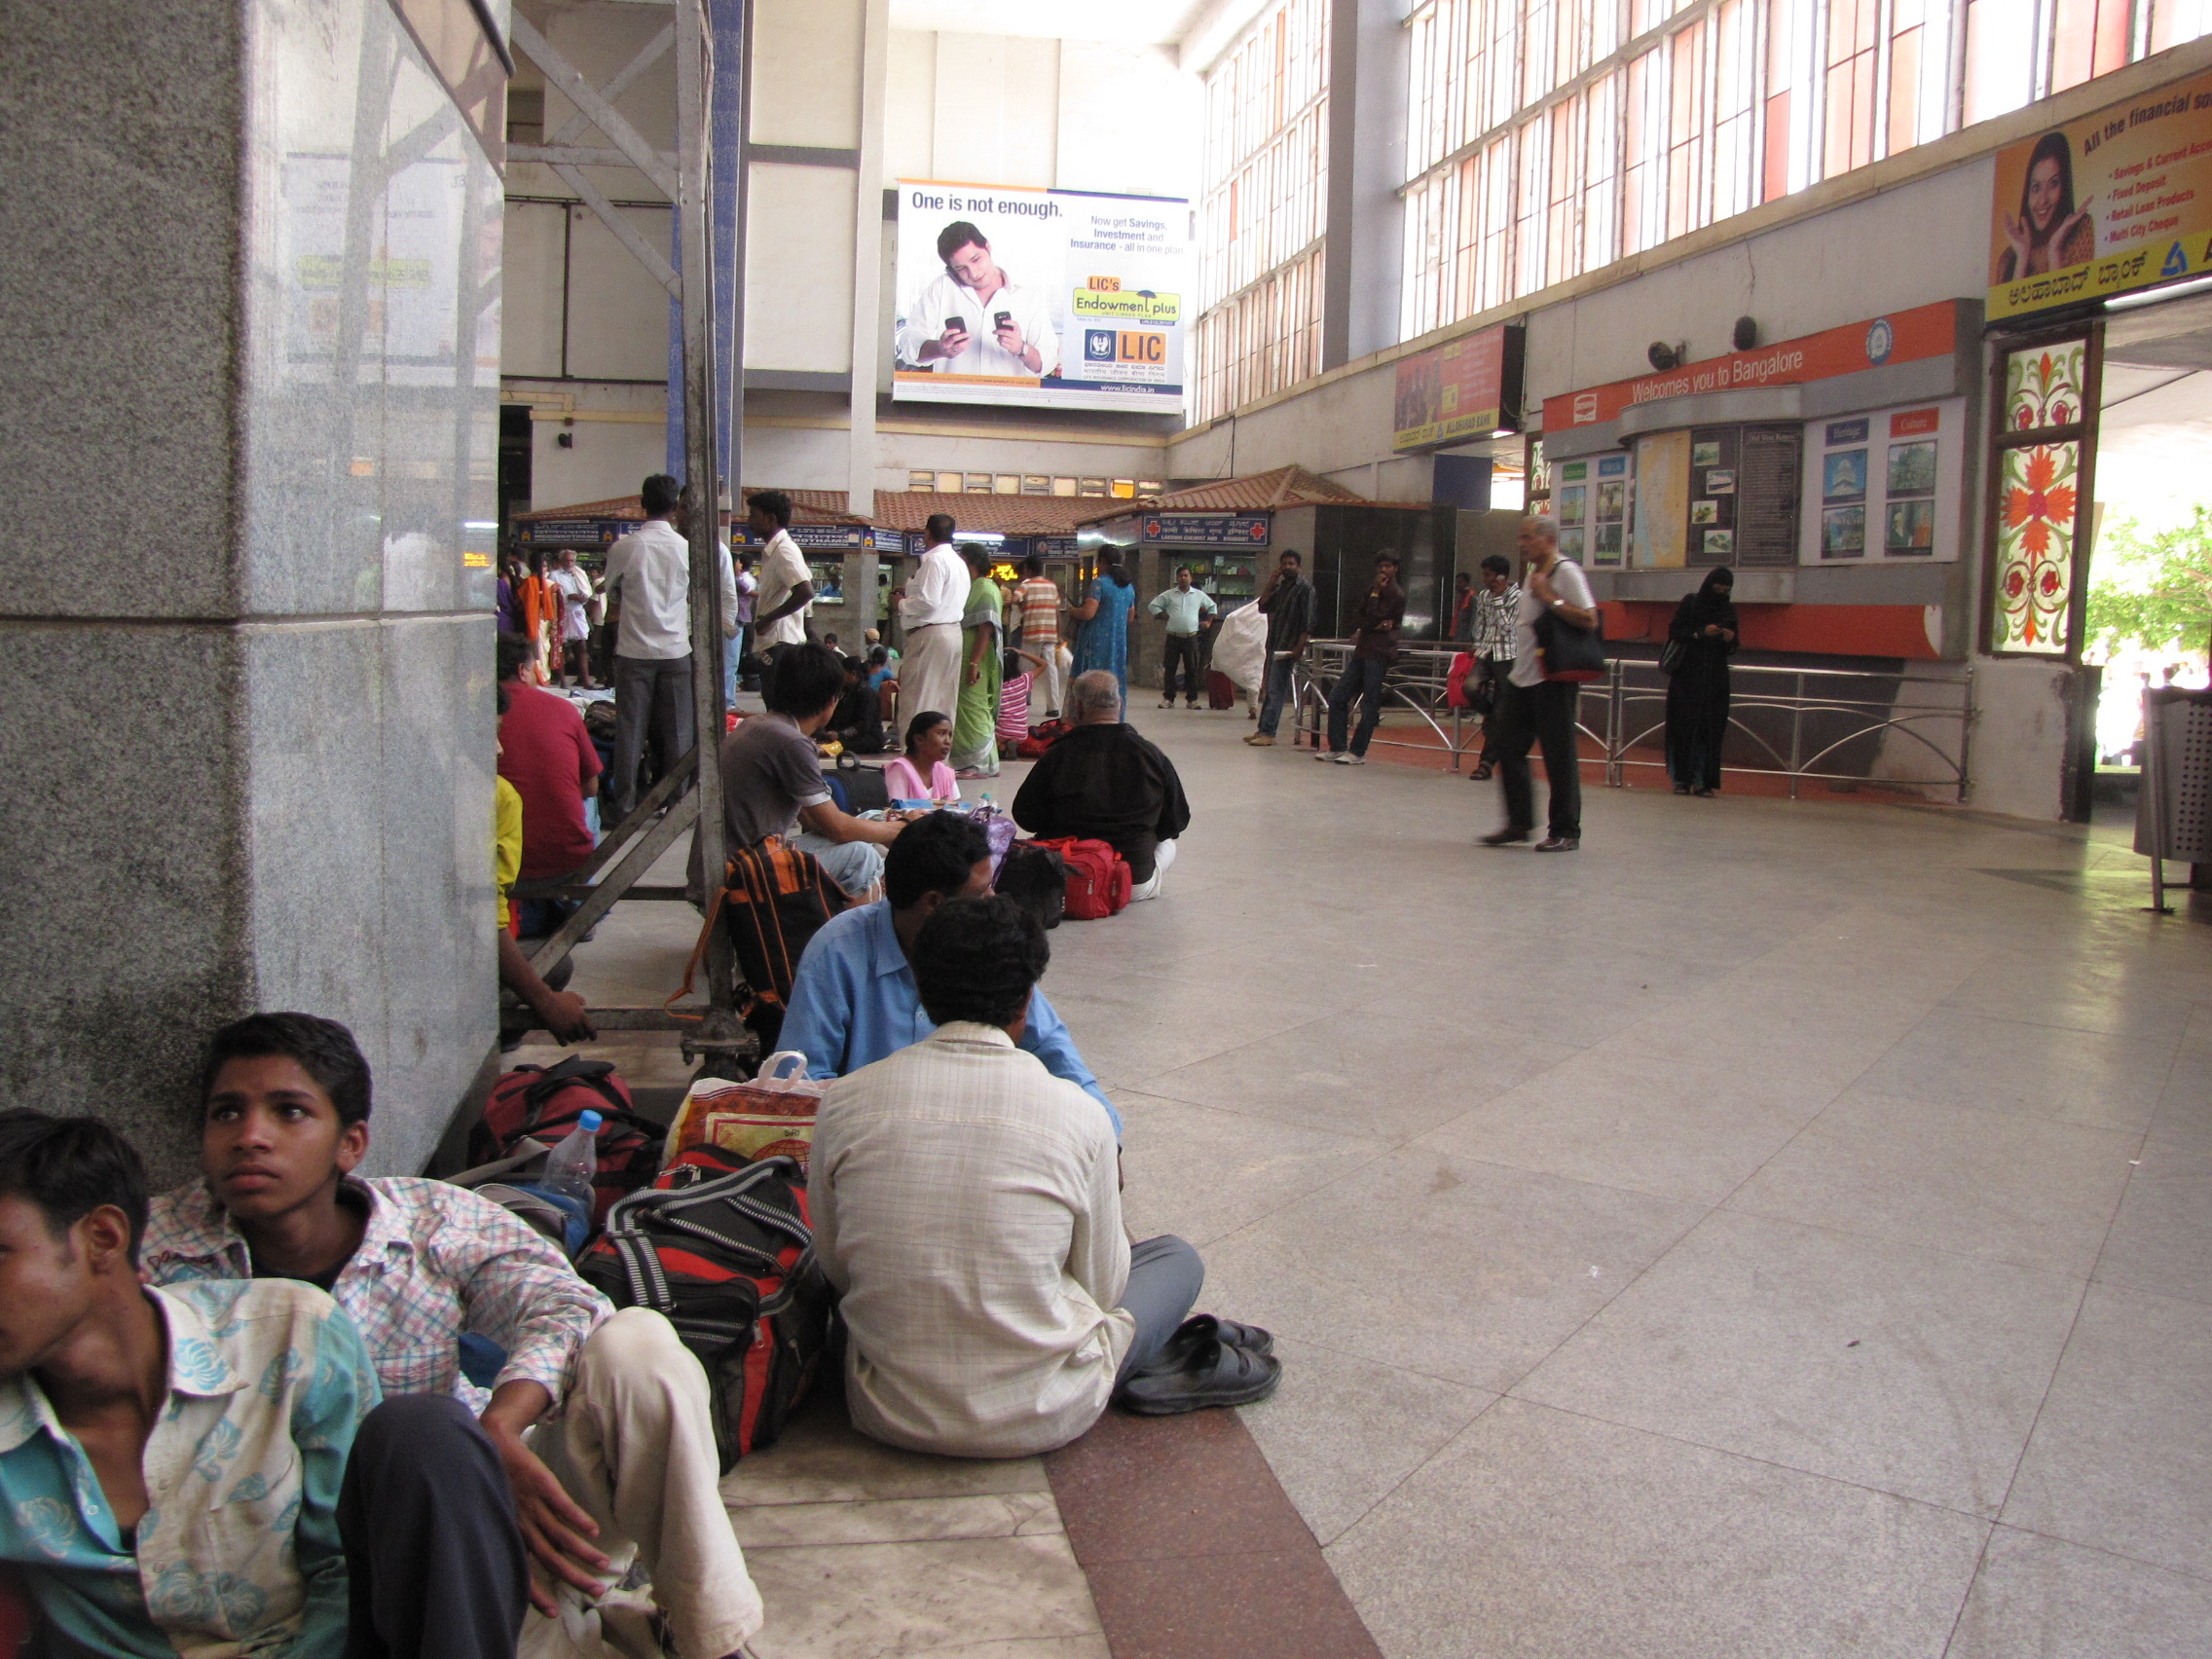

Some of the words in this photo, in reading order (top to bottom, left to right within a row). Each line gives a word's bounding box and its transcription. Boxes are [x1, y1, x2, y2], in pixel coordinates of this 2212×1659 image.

[2125, 90, 2197, 133] financial
[2073, 120, 2107, 159] All
[2099, 110, 2129, 145] the
[2108, 154, 2148, 185] Savings
[2140, 149, 2157, 179] &
[2152, 139, 2192, 170] Current
[908, 184, 949, 213] One
[944, 190, 968, 216] is
[965, 194, 996, 216] not
[992, 197, 1066, 221] enough.
[1060, 236, 1121, 256] Insurance
[1088, 211, 1115, 231] Now
[1089, 225, 1151, 246] Investment
[1109, 215, 1132, 233] get
[1117, 239, 1140, 256] all
[1133, 242, 1149, 258] in
[1124, 214, 1168, 235] Savings,
[1144, 241, 1168, 260] one
[1146, 226, 1167, 246] and
[1161, 241, 1189, 263] plan.
[2104, 221, 2135, 249] Multi
[2107, 200, 2136, 227] Retail
[2126, 215, 2149, 240] City
[2127, 192, 2160, 220] Loan
[2133, 167, 2170, 202] Deposit
[2144, 207, 2185, 238] Cheque
[2153, 182, 2199, 212] Products
[2096, 244, 2147, 294] ಬಾಂಕ್
[1084, 272, 1126, 297] LIC
[2005, 260, 2092, 309] ಅಲಹಾಬಾದ್
[1068, 292, 1158, 319] Endowment
[1143, 294, 1185, 319] plus
[1120, 330, 1165, 365] LIC
[1080, 354, 1118, 374] ಭಾರತೀಯ भारतीय
[1111, 357, 1149, 373] ಜೀವ ವಿಮಾ
[1146, 361, 1168, 375] ನಿಗಮ
[1626, 373, 1693, 408] Welcomes
[1685, 366, 1718, 397] you
[1714, 361, 1735, 390] to
[1729, 347, 1808, 387] Bangalore